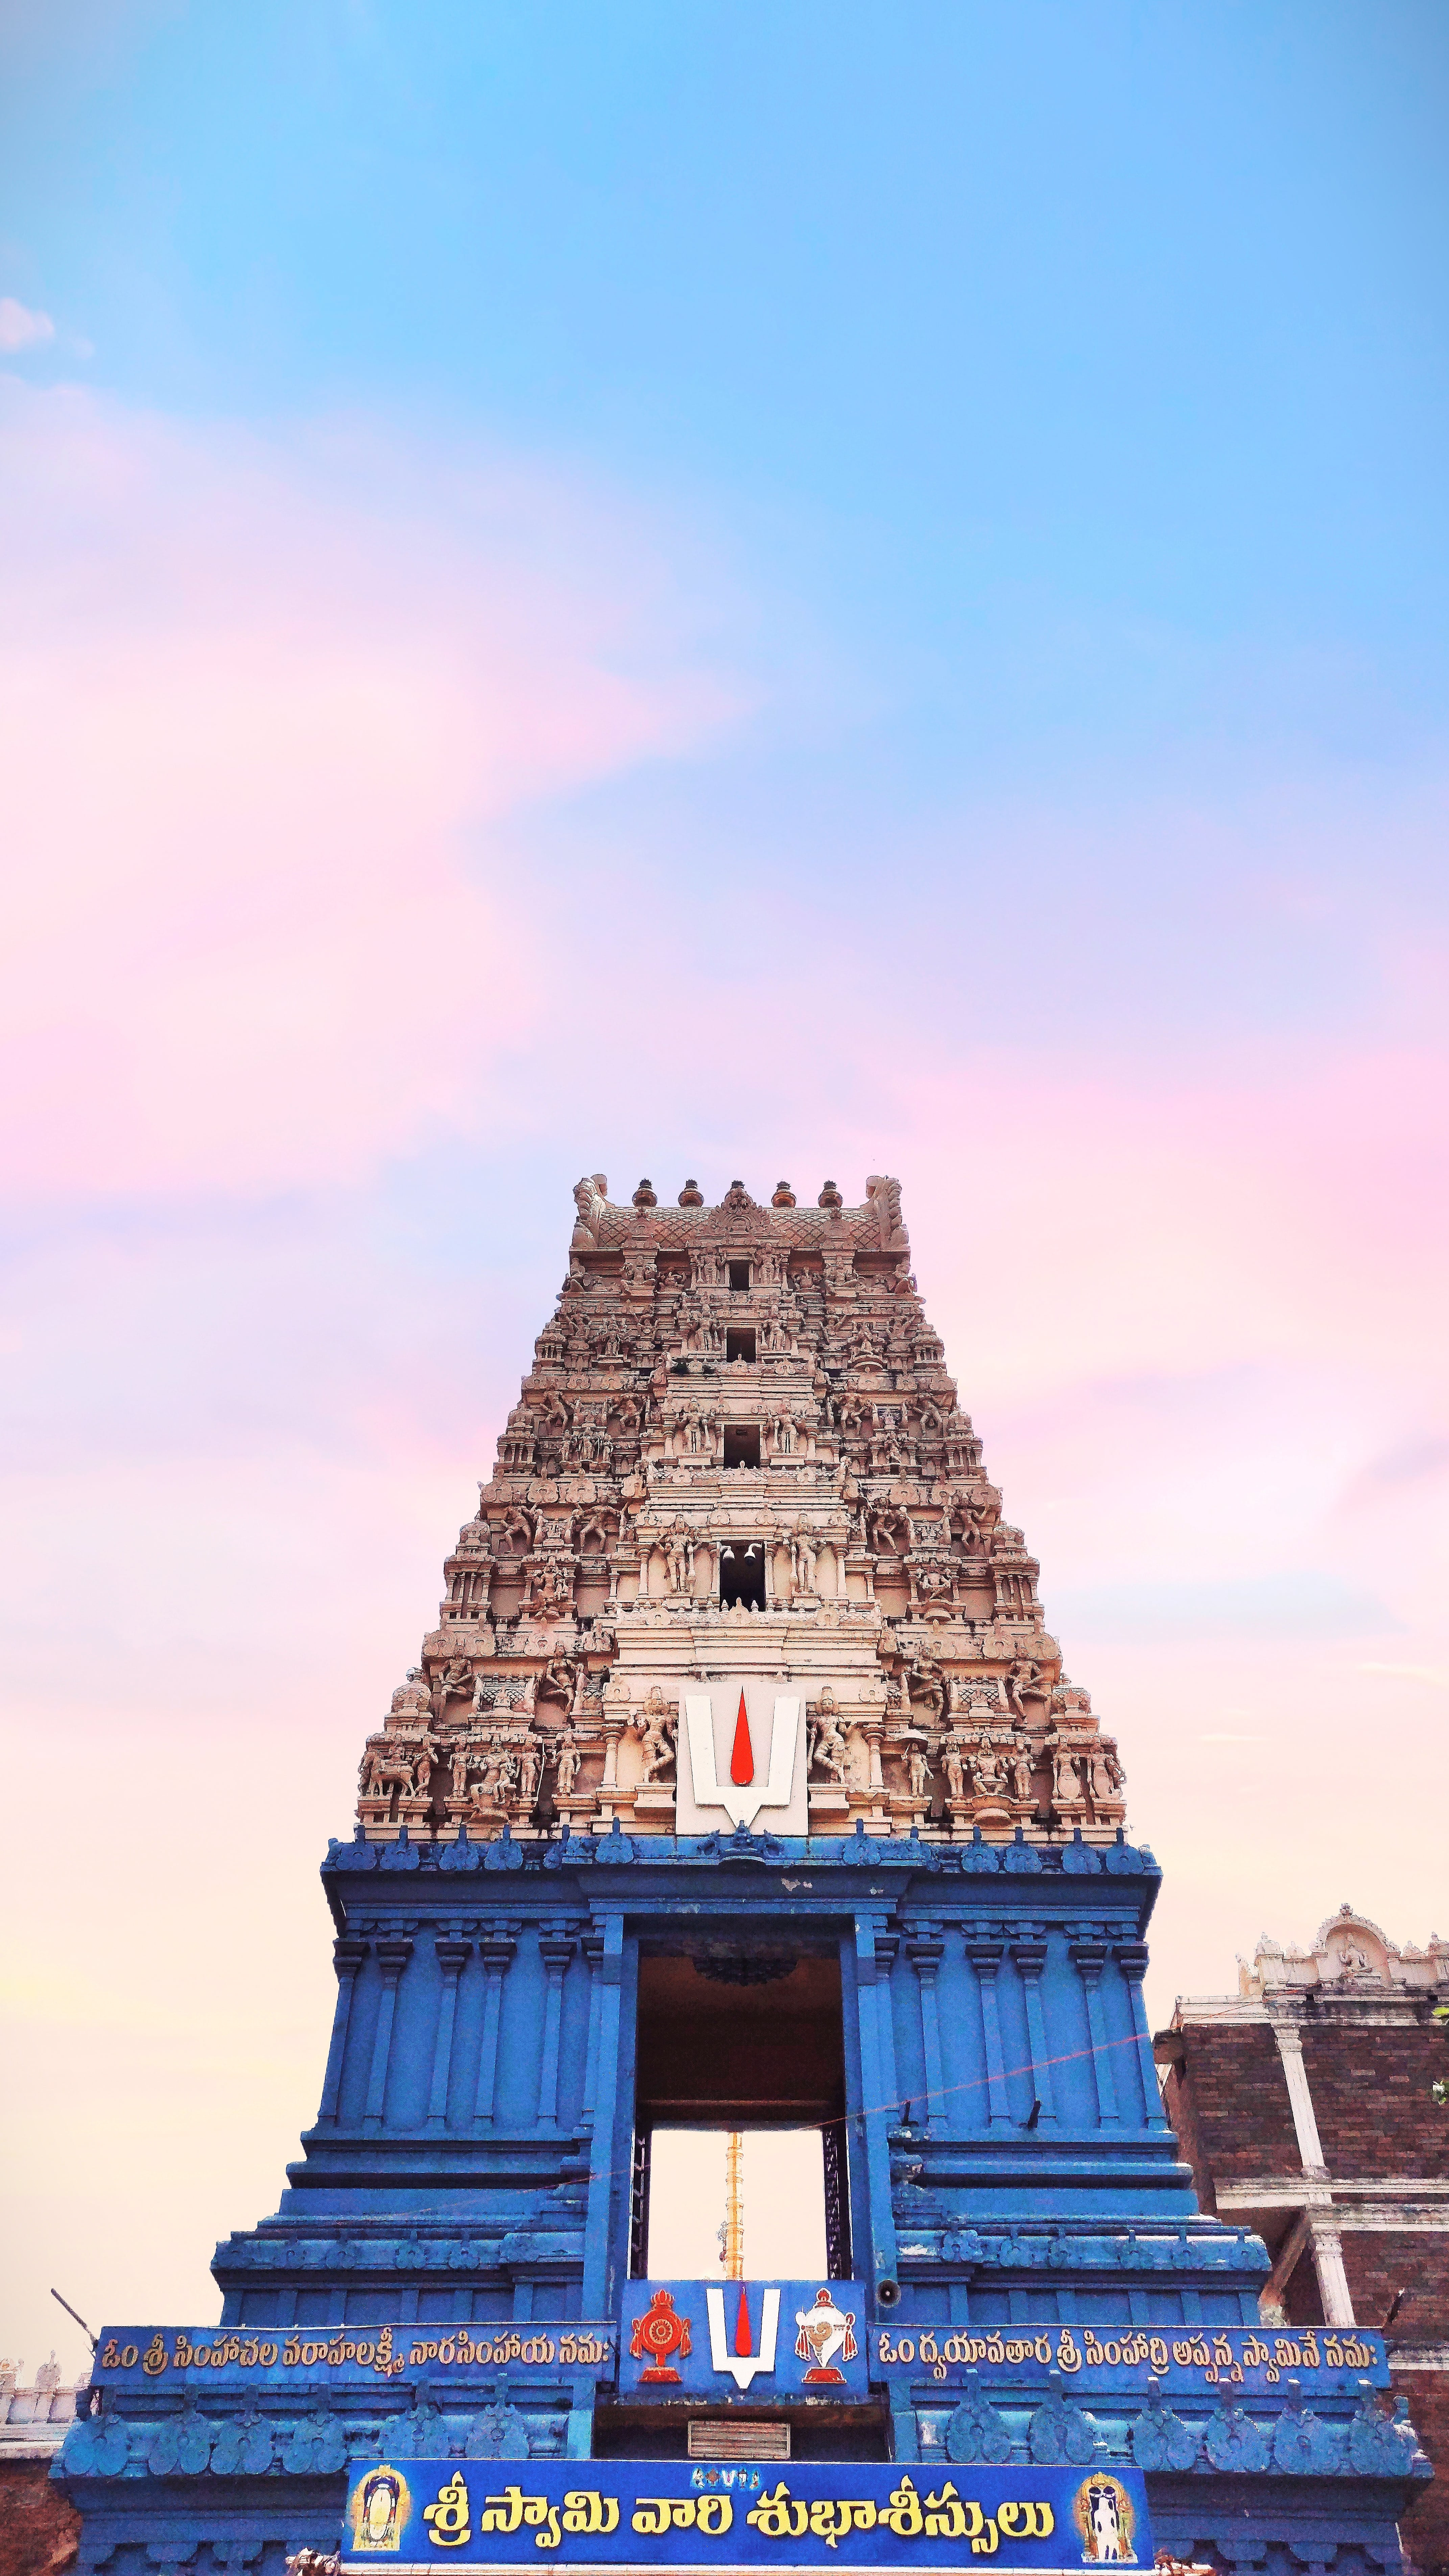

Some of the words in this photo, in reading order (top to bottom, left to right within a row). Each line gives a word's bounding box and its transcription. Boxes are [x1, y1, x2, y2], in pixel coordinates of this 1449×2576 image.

[100, 2335, 141, 2370] ఓం
[141, 2330, 170, 2378] శ్ర
[171, 2331, 279, 2368] సింహాచల
[282, 2322, 406, 2378] వరాహలక్ష్మీ
[408, 2328, 556, 2364] నారసింహాయ
[555, 2331, 610, 2365] నవః
[876, 2327, 1052, 2381] ఓంద్వయావతార
[1054, 2324, 1173, 2378] శ్రీ సింహాద్రి
[1170, 2330, 1244, 2385] అప్పన్న
[1240, 2329, 1322, 2384] స్వామినే
[1323, 2332, 1372, 2370] నమ
[421, 2464, 477, 2548] శ్ర
[477, 2482, 626, 2551] స్వామి
[630, 2491, 738, 2538] వారి
[742, 2469, 1056, 2557] శుభాశీస్సులు